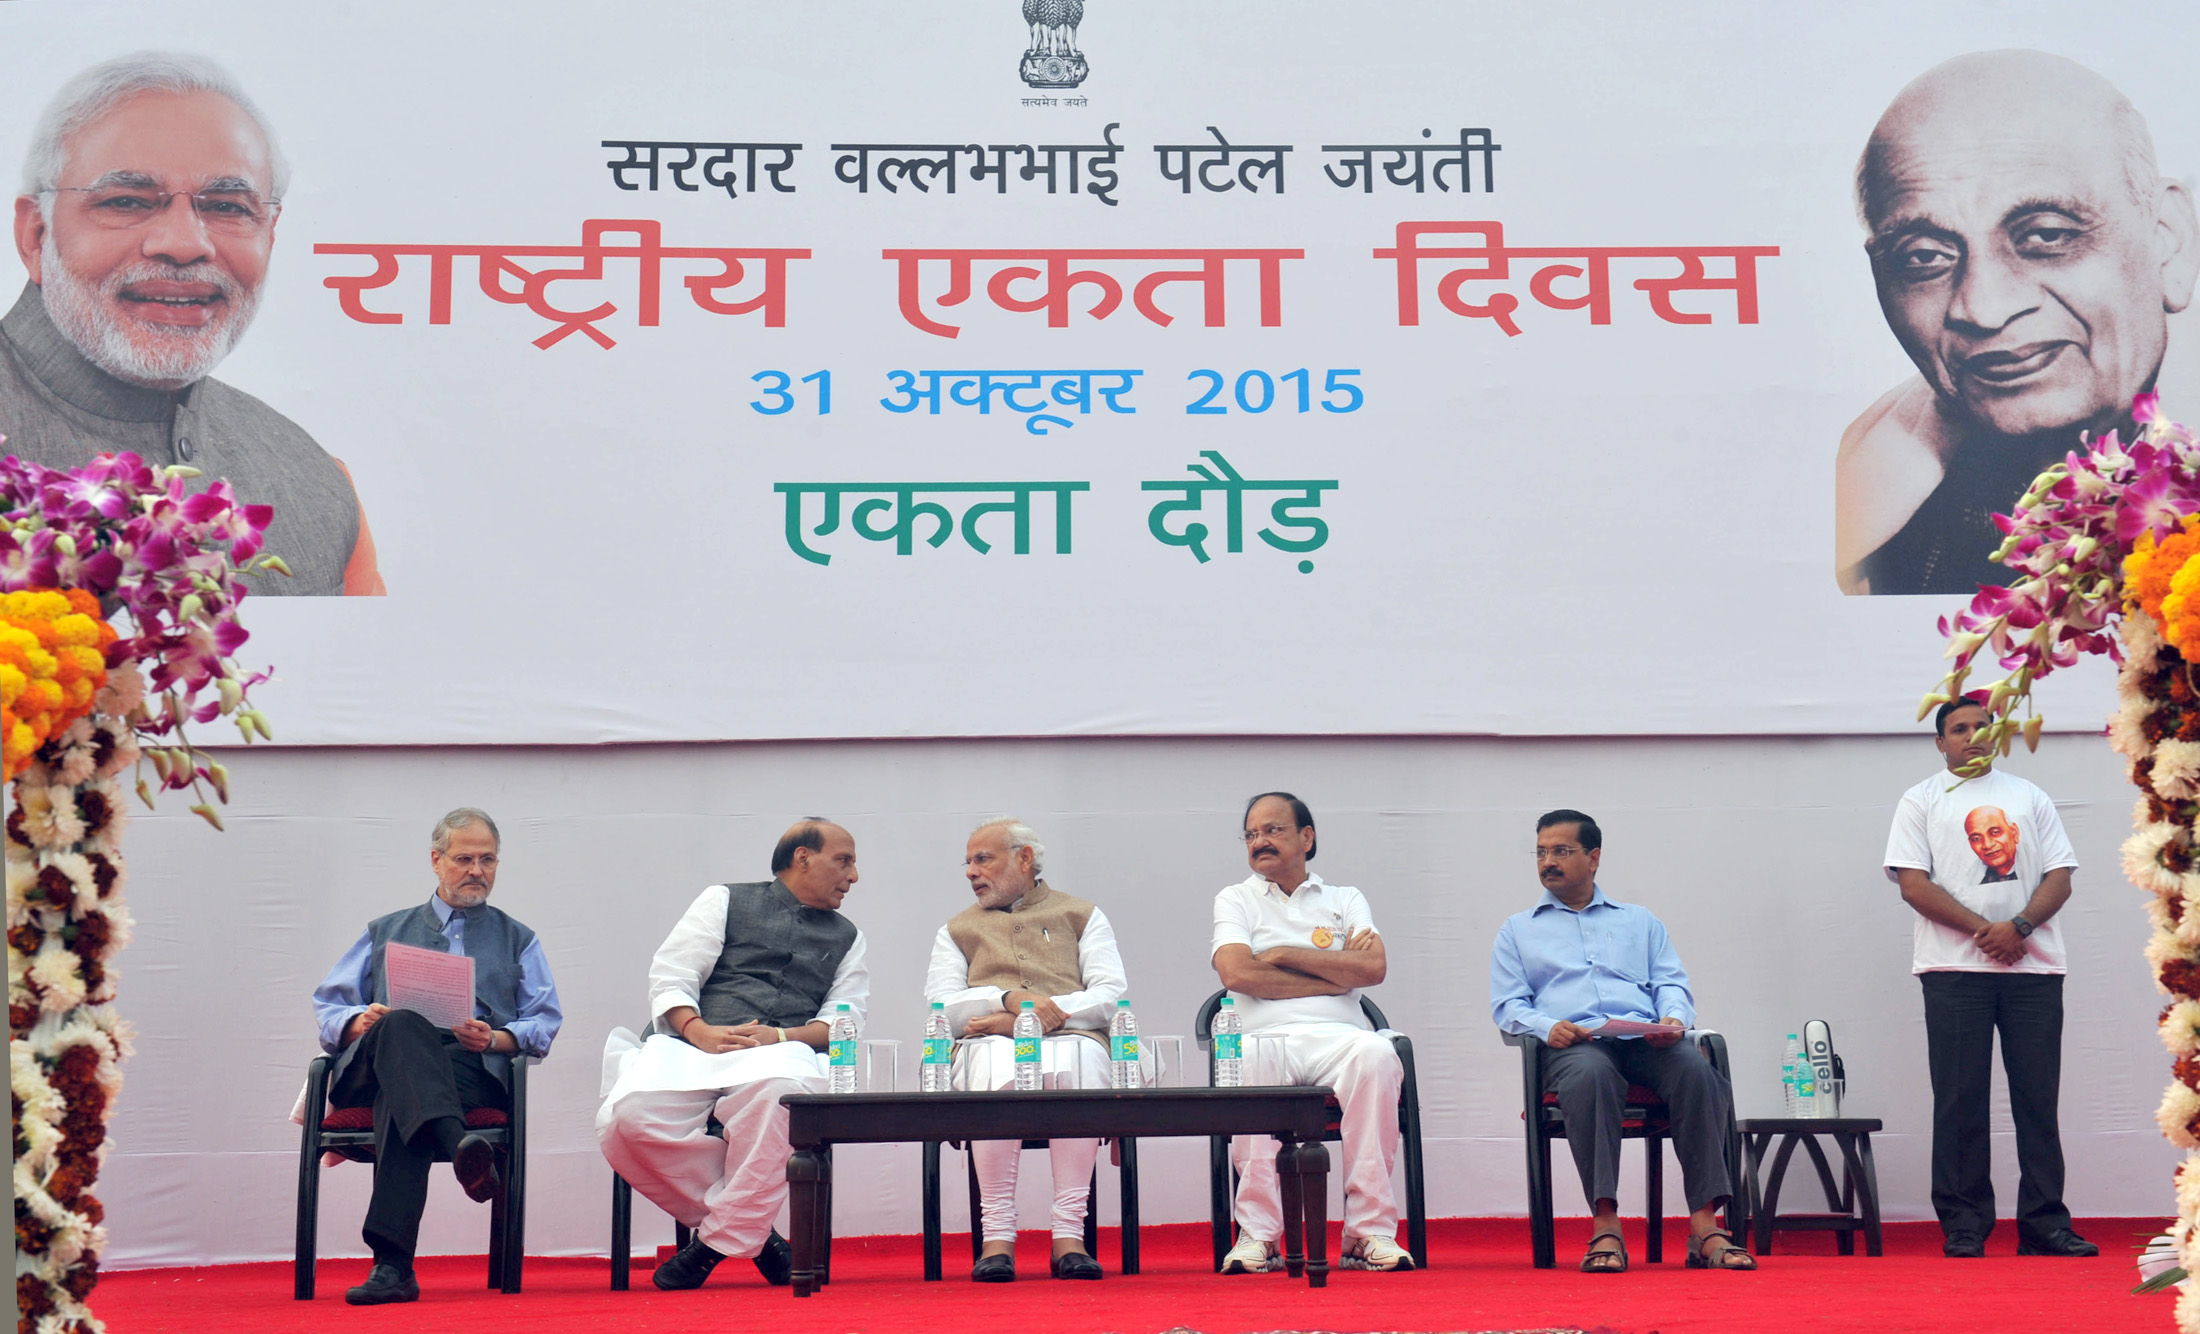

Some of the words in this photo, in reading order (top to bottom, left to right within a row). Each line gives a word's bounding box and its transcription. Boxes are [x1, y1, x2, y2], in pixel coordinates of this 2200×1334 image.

[1009, 88, 1063, 116] सत्यमेव
[1057, 88, 1095, 116] जयते
[597, 132, 807, 196] सरदार
[826, 112, 1127, 212] वल्लभभाई
[1148, 116, 1299, 200] पटेल
[1318, 116, 1506, 200] जयंती
[307, 200, 817, 359] राष्ट्रीय
[878, 240, 1310, 346] एकता
[1370, 211, 1786, 340] दिवस
[744, 362, 838, 422] 31
[875, 360, 1148, 442] अक्टूबर
[1182, 365, 1369, 421] 2015
[763, 473, 1097, 571] एकता
[1141, 446, 1340, 581] दौड़